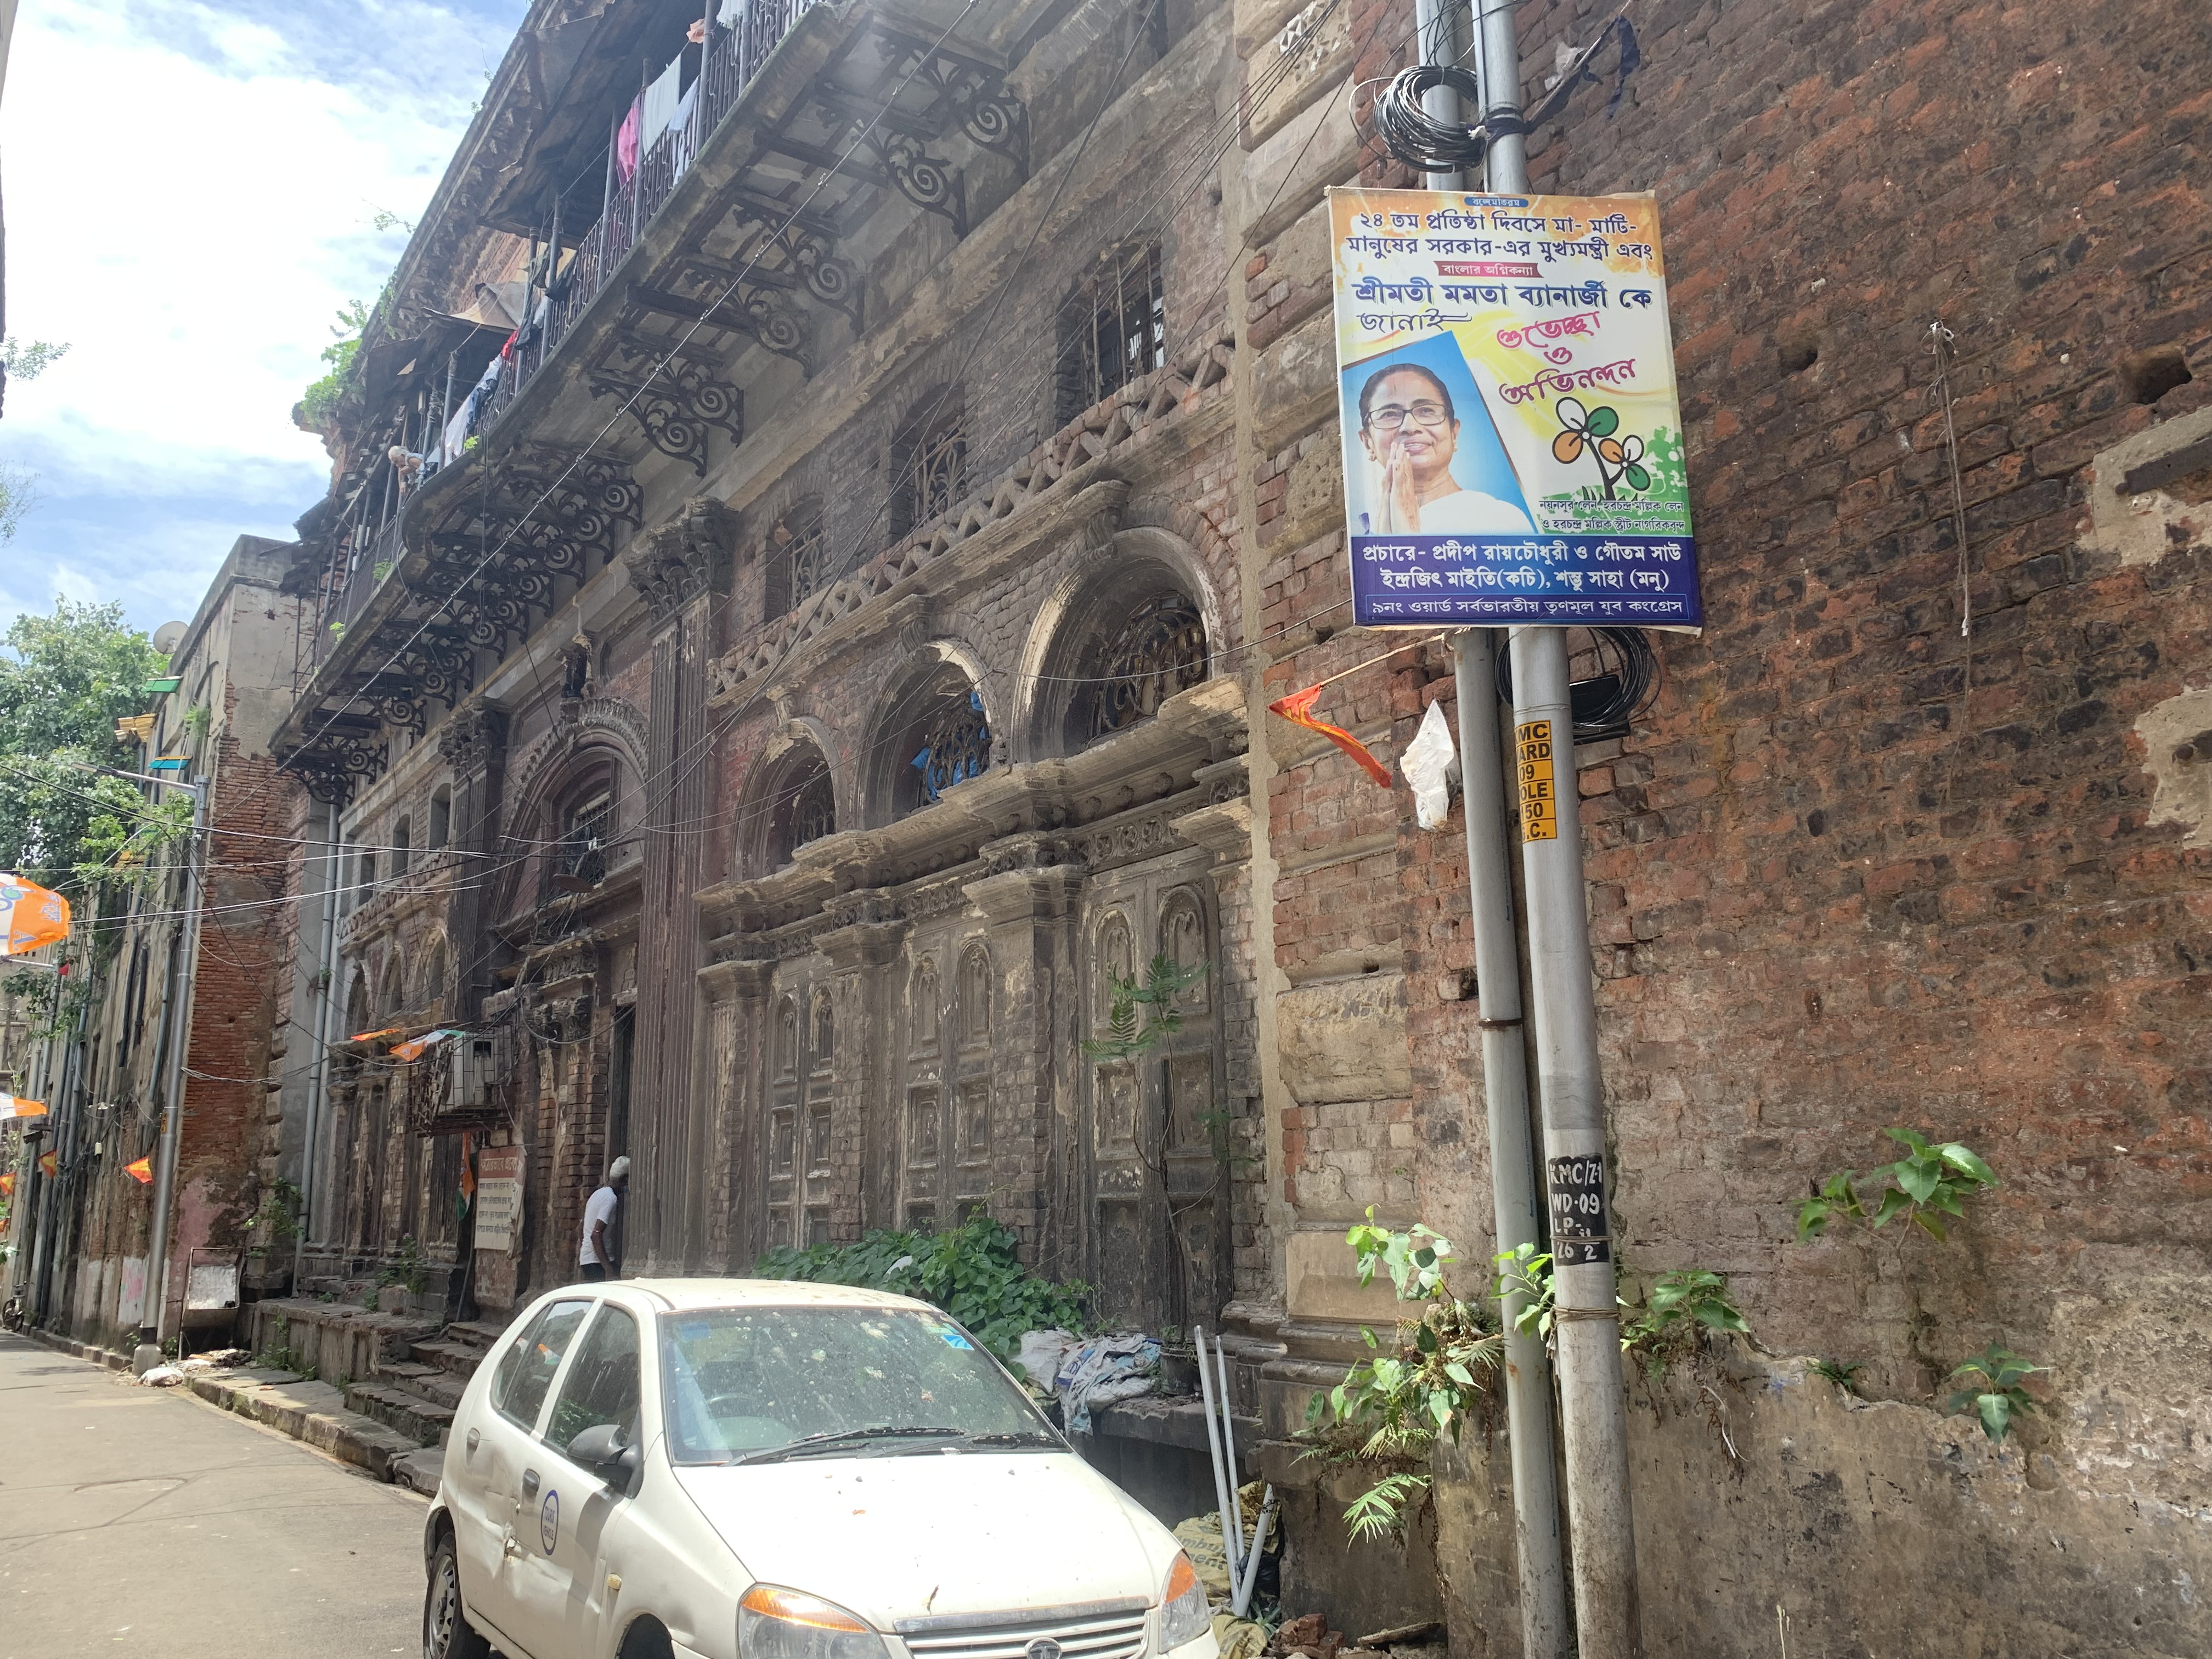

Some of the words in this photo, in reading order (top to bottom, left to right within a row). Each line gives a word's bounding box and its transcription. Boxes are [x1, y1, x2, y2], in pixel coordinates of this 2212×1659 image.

[1469, 191, 1522, 208] বন্দেমাতরম
[1355, 206, 1386, 230] ২৪
[1386, 208, 1421, 231] তম
[1421, 205, 1487, 232] প্রতিষ্ঠা
[1483, 205, 1549, 235] দিবসে
[1548, 210, 1577, 238] মা
[1585, 206, 1632, 236] মাটি
[1344, 229, 1422, 266] মানুষের
[1424, 235, 1496, 259] সরকার
[1500, 235, 1534, 260] এর
[1536, 233, 1612, 267] মুখ্যমন্ত্রী
[1616, 236, 1654, 262] এবং
[1440, 261, 1482, 279] বাংলার
[1480, 258, 1538, 281] অগ্নিকন্যা
[1348, 268, 1434, 307] শ্রীমতী
[1437, 281, 1510, 309] মমতা
[1511, 275, 1610, 310] ব্যানার্জী
[1616, 284, 1654, 313] কে
[1356, 303, 1452, 337] জানাই
[1493, 307, 1604, 369] শুভেচ্ছা ও
[1494, 355, 1639, 409] অভিনন্দন
[1535, 495, 1576, 516] নয়নসুর
[1570, 495, 1600, 514] ৷লেন
[1600, 494, 1634, 515] হরচন্দ্র
[1630, 494, 1664, 514] মল্লিক
[1662, 497, 1687, 516] লেন
[1539, 515, 1585, 531] ওহরচন্দ্র
[1582, 513, 1615, 532] মল্লিক
[1610, 512, 1635, 534] স্ট্রীট
[1631, 514, 1688, 534] নাগরিকবৃন্দ
[1362, 541, 1418, 563] প্রচারে
[1426, 535, 1481, 565] প্রদীপ
[1479, 537, 1571, 569] রায়চৌধুরী
[1568, 544, 1592, 562] ও
[1592, 533, 1649, 567] গৌতম
[1647, 539, 1683, 563] সাউ
[1375, 562, 1446, 594] ইন্দ্রজিৎ
[1441, 561, 1499, 591] মাইতি
[1497, 561, 1538, 592] (কচি
[1549, 564, 1587, 599] শম্ভু
[1583, 566, 1627, 593] সাহা
[1631, 567, 1668, 595] (মনু)
[1369, 596, 1404, 617] ৯নং
[1406, 595, 1454, 615] ওয়ার্ড
[1454, 593, 1541, 617] সর্বভারতীয়
[1538, 599, 1596, 617] তৃণমূল
[1596, 597, 1624, 618] যুব
[1623, 596, 1685, 616] কংগ্রেস